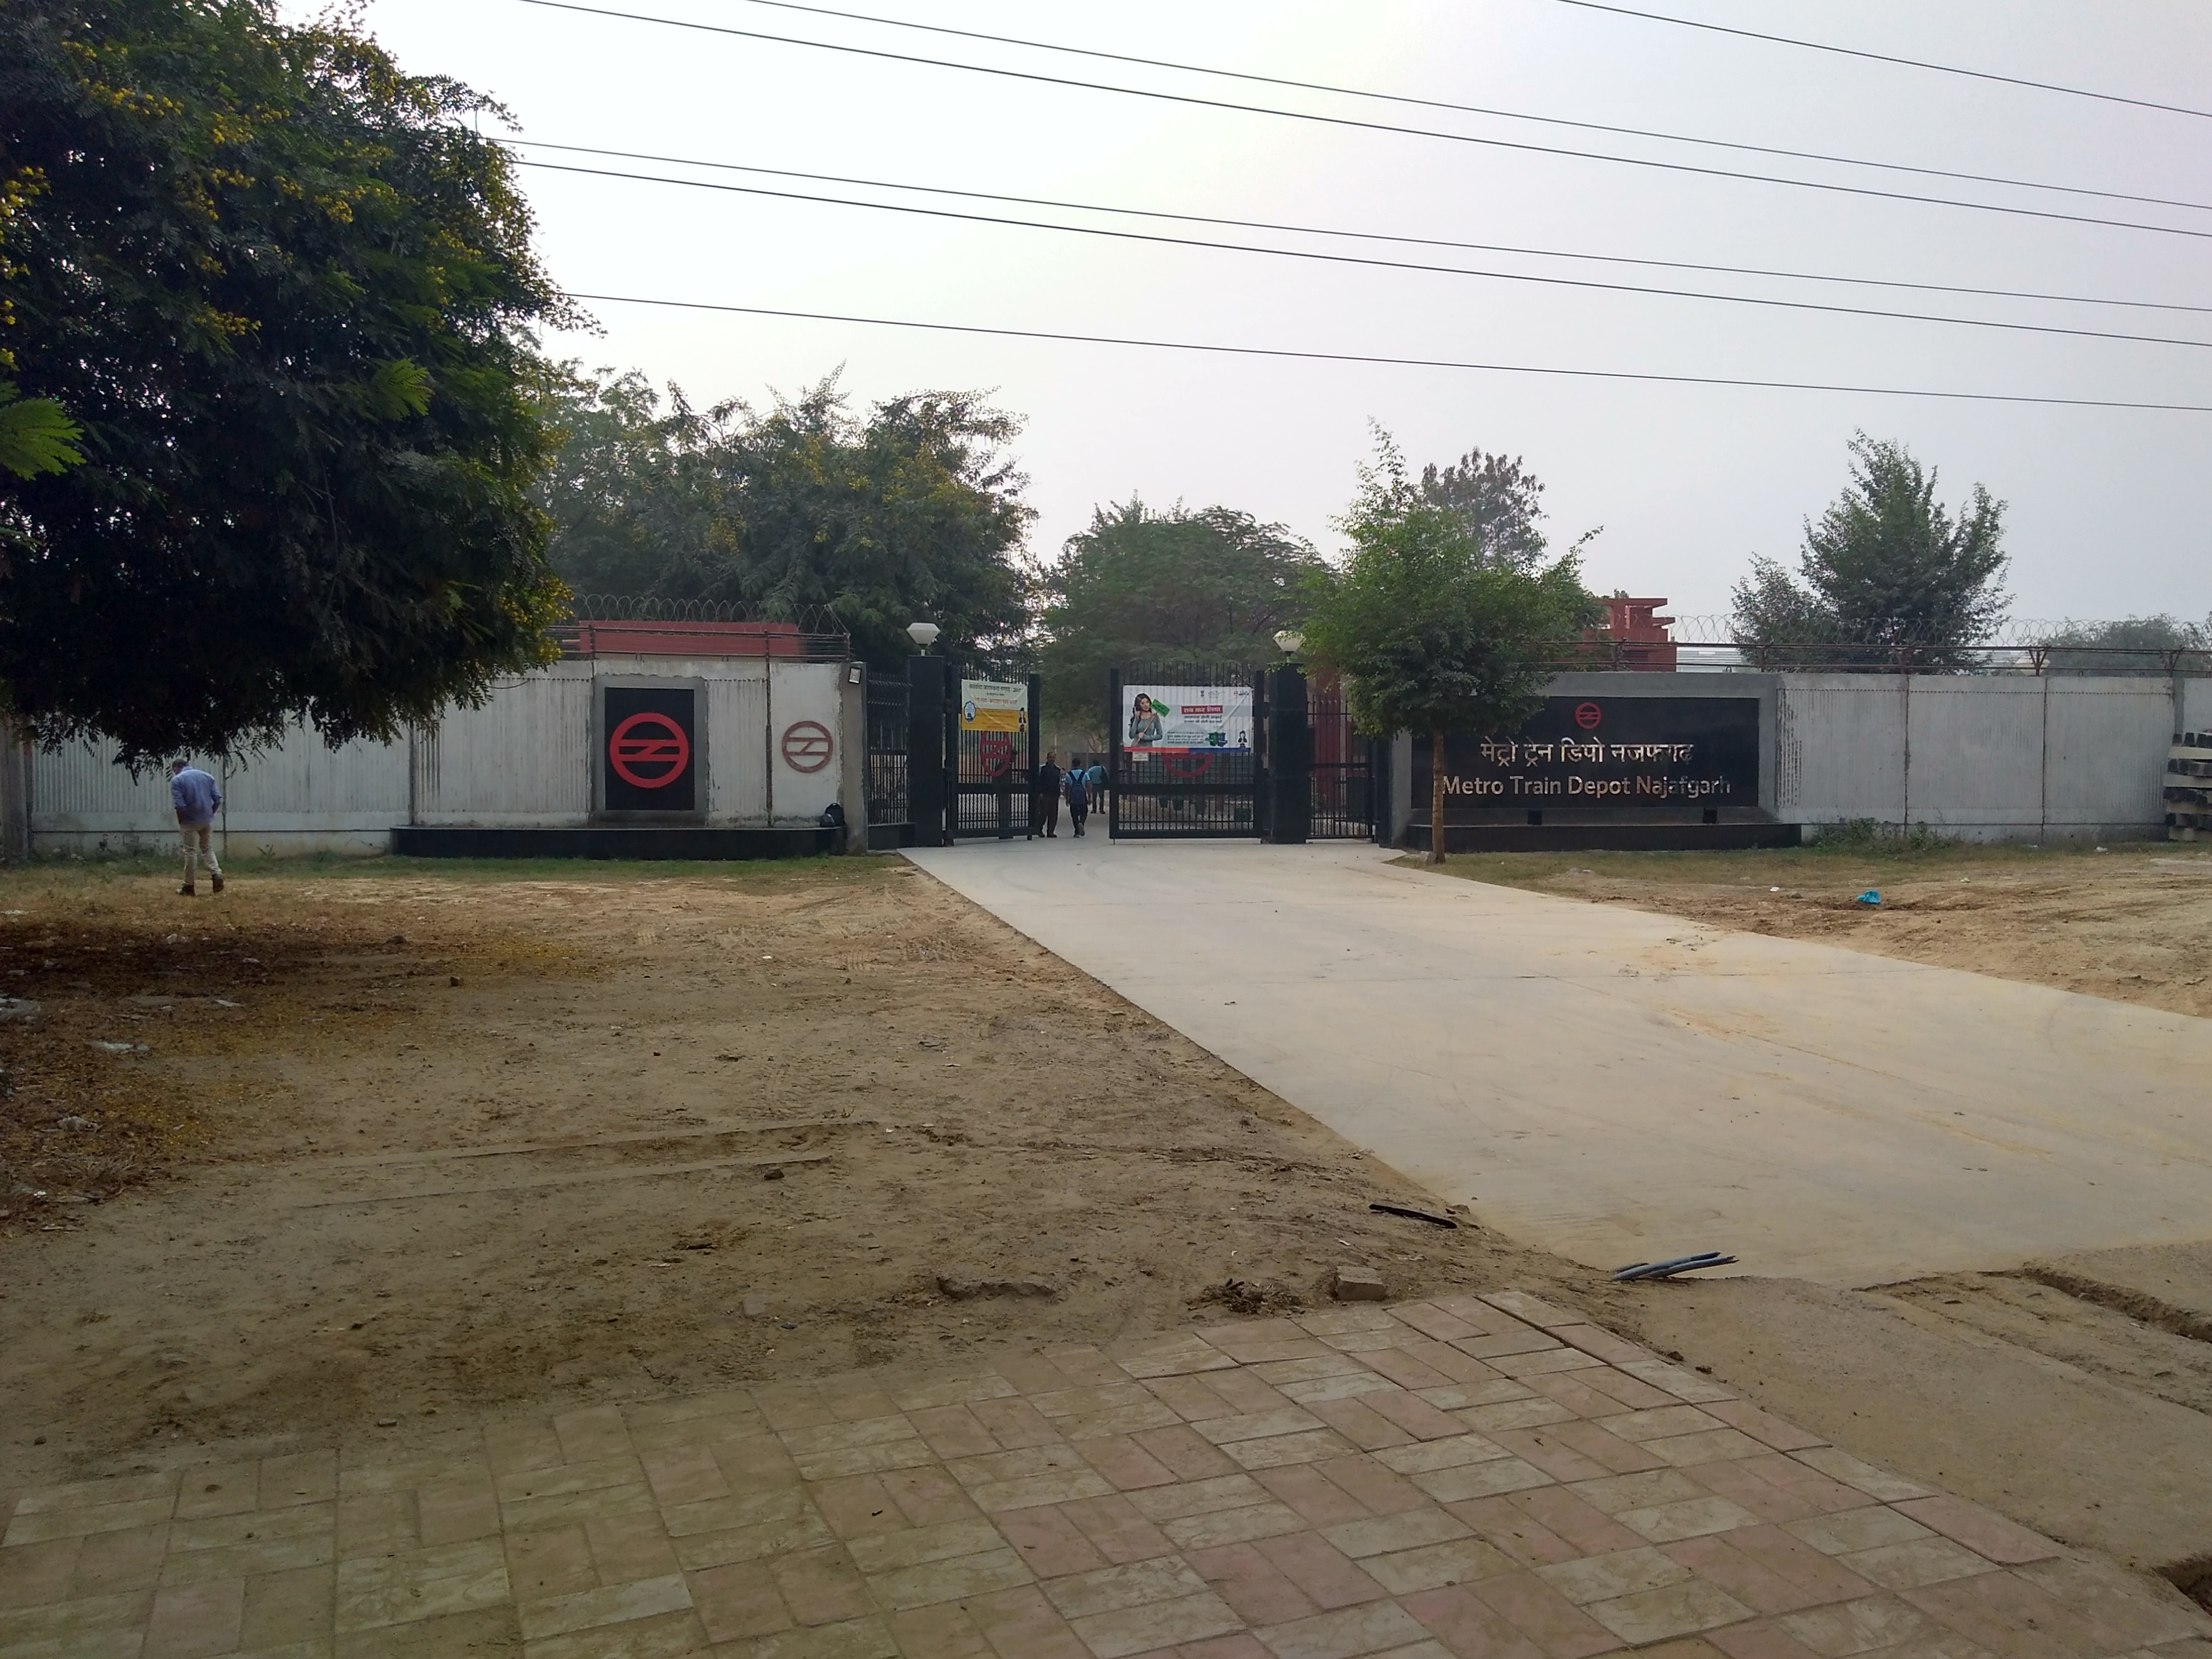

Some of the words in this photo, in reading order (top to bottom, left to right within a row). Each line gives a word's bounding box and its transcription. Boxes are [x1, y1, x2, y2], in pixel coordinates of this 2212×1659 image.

[1477, 733, 1520, 771] मेट्रो
[1517, 731, 1555, 770] ट्रेन
[1556, 732, 1606, 766] डिपो
[1610, 741, 1695, 769] नजफगढ़
[1439, 774, 1507, 796] जिल्४०
[1511, 773, 1563, 795] ।।३।।
[1566, 774, 1633, 802] Depot
[1635, 773, 1735, 802] Najafgarh